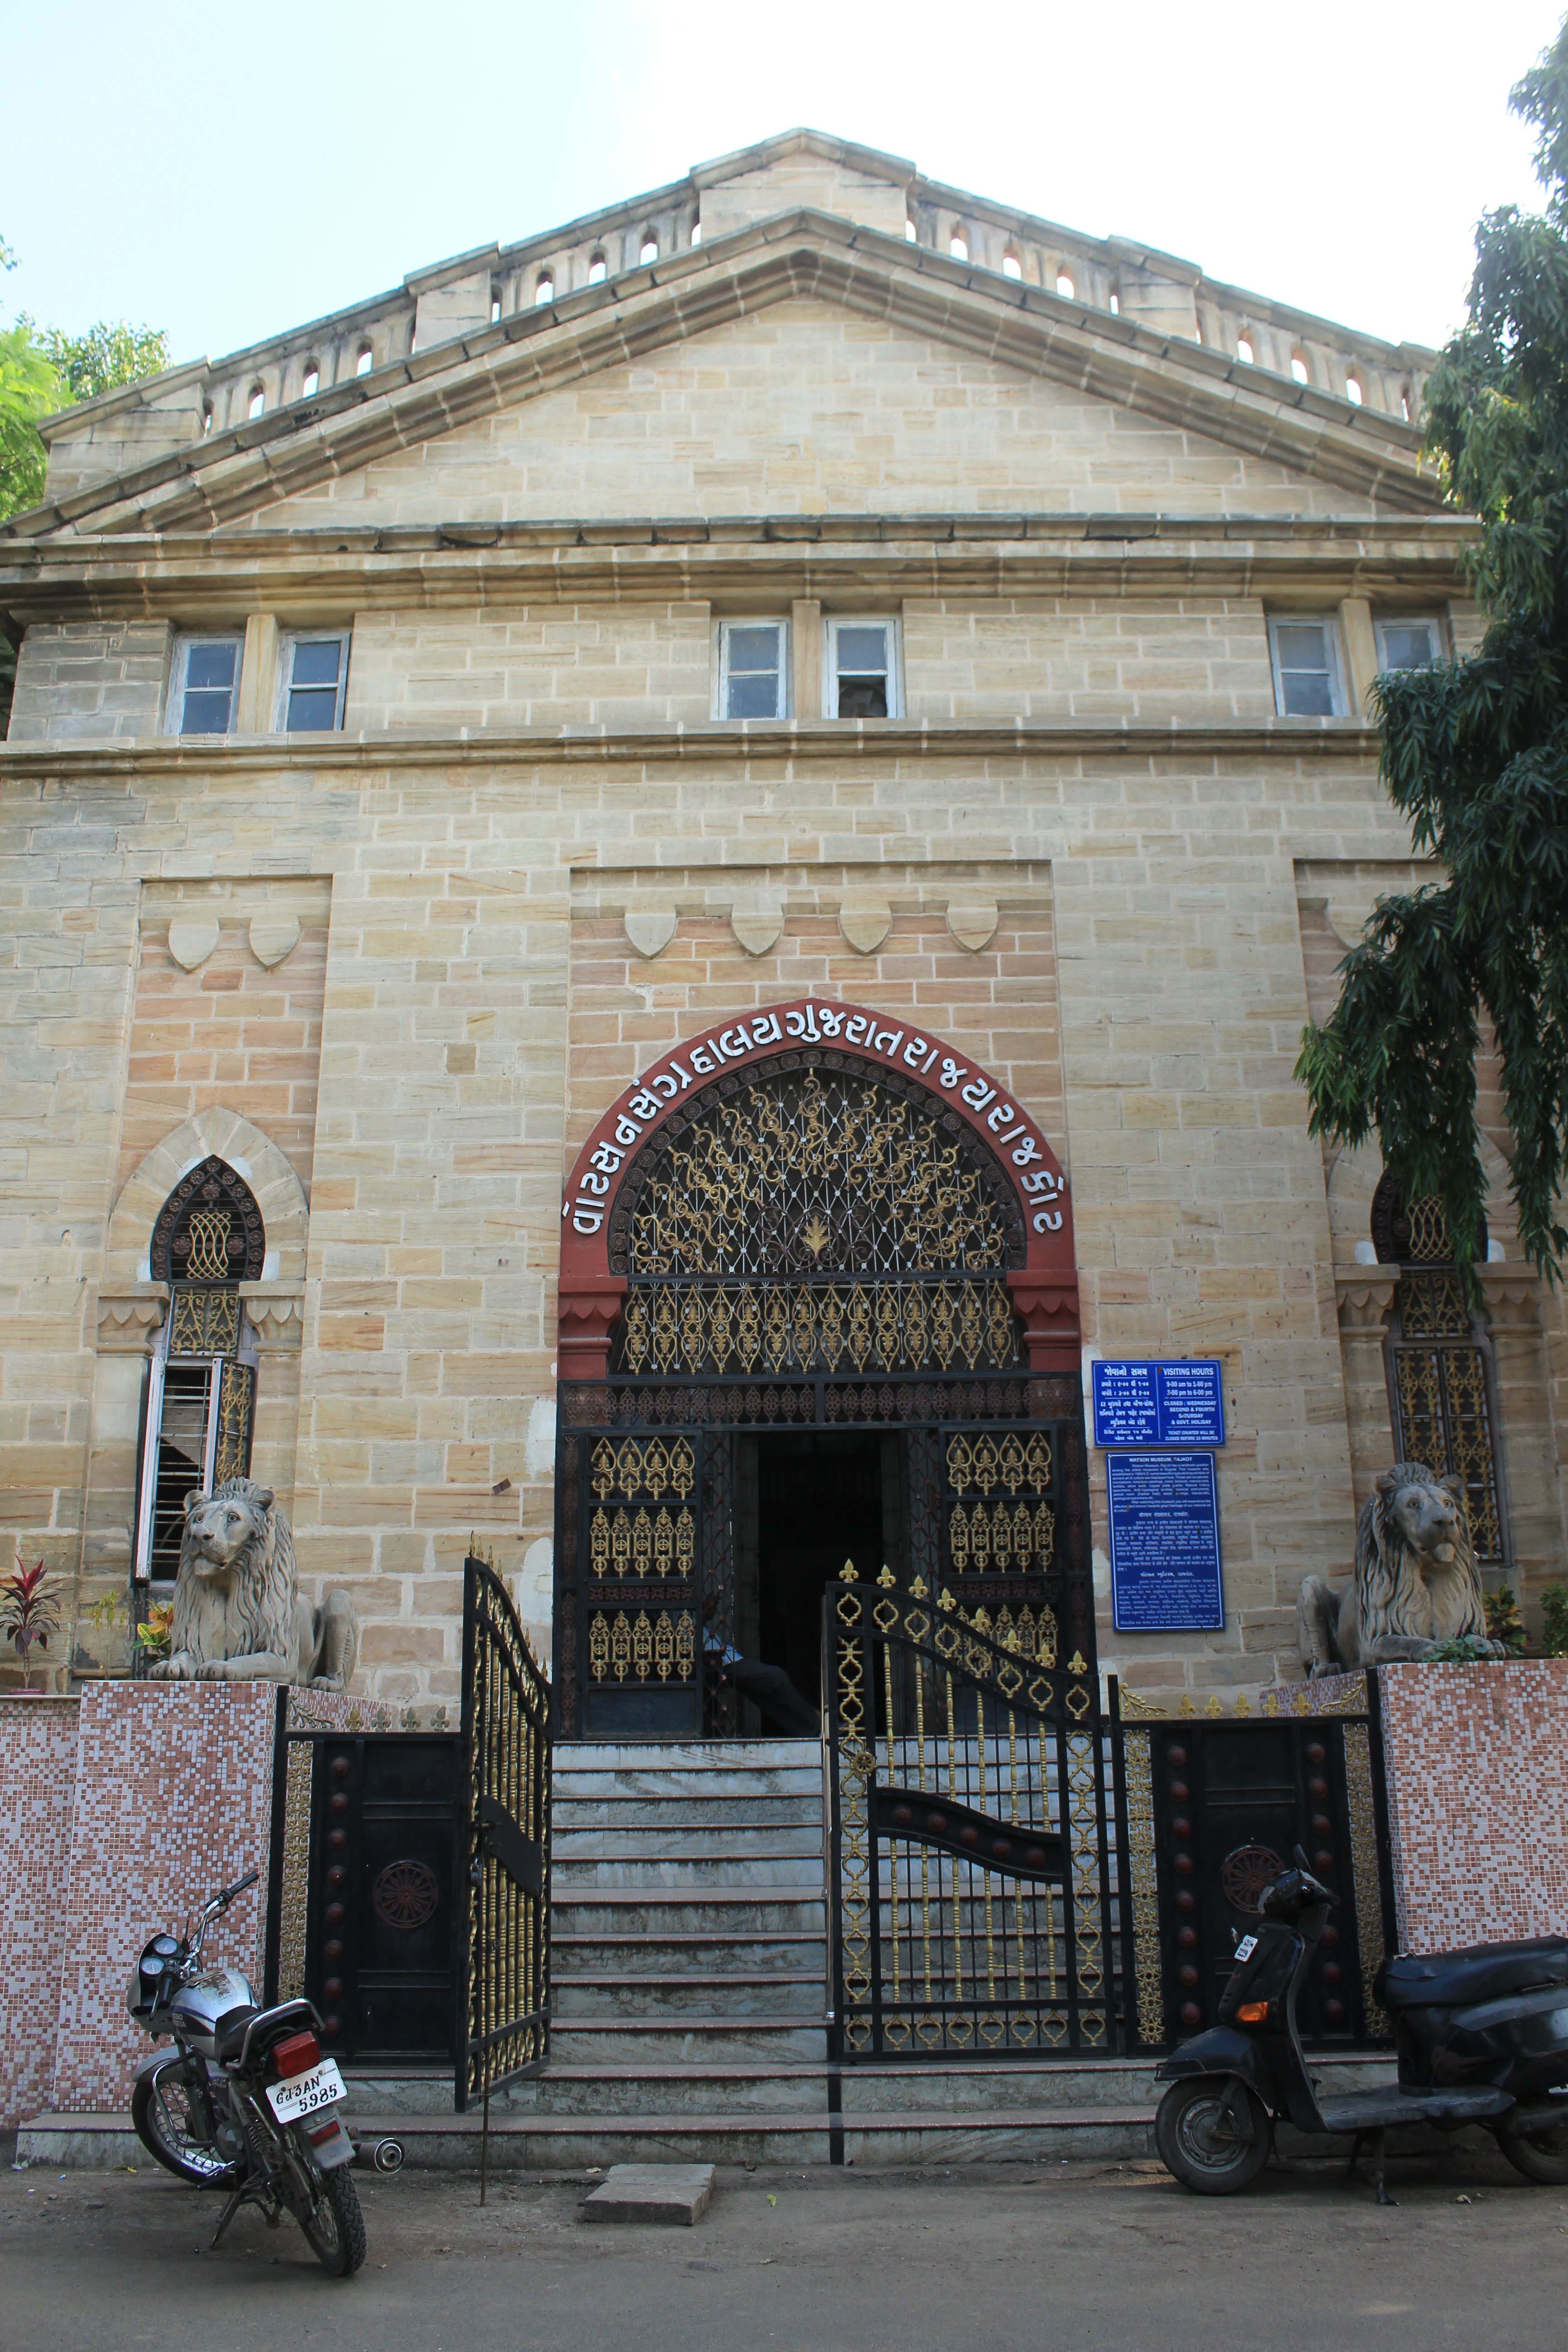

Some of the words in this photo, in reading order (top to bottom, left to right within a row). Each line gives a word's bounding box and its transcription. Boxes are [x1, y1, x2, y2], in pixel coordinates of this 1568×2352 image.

[779, 1002, 912, 1065] ગુજરાત
[620, 1006, 787, 1130] સંગ્રહાલય
[896, 1033, 1003, 1119] રાજય
[560, 1106, 649, 1241] વોટસન
[981, 1096, 1069, 1240] રાજકોટ
[1102, 1362, 1127, 1379] જોવાનો
[1129, 1367, 1148, 1377] સમય
[1161, 1367, 1191, 1378] VISITING
[1190, 1366, 1215, 1377] HOURS
[273, 2071, 322, 2107] GJ3AN
[296, 2082, 347, 2116] 3AN5985